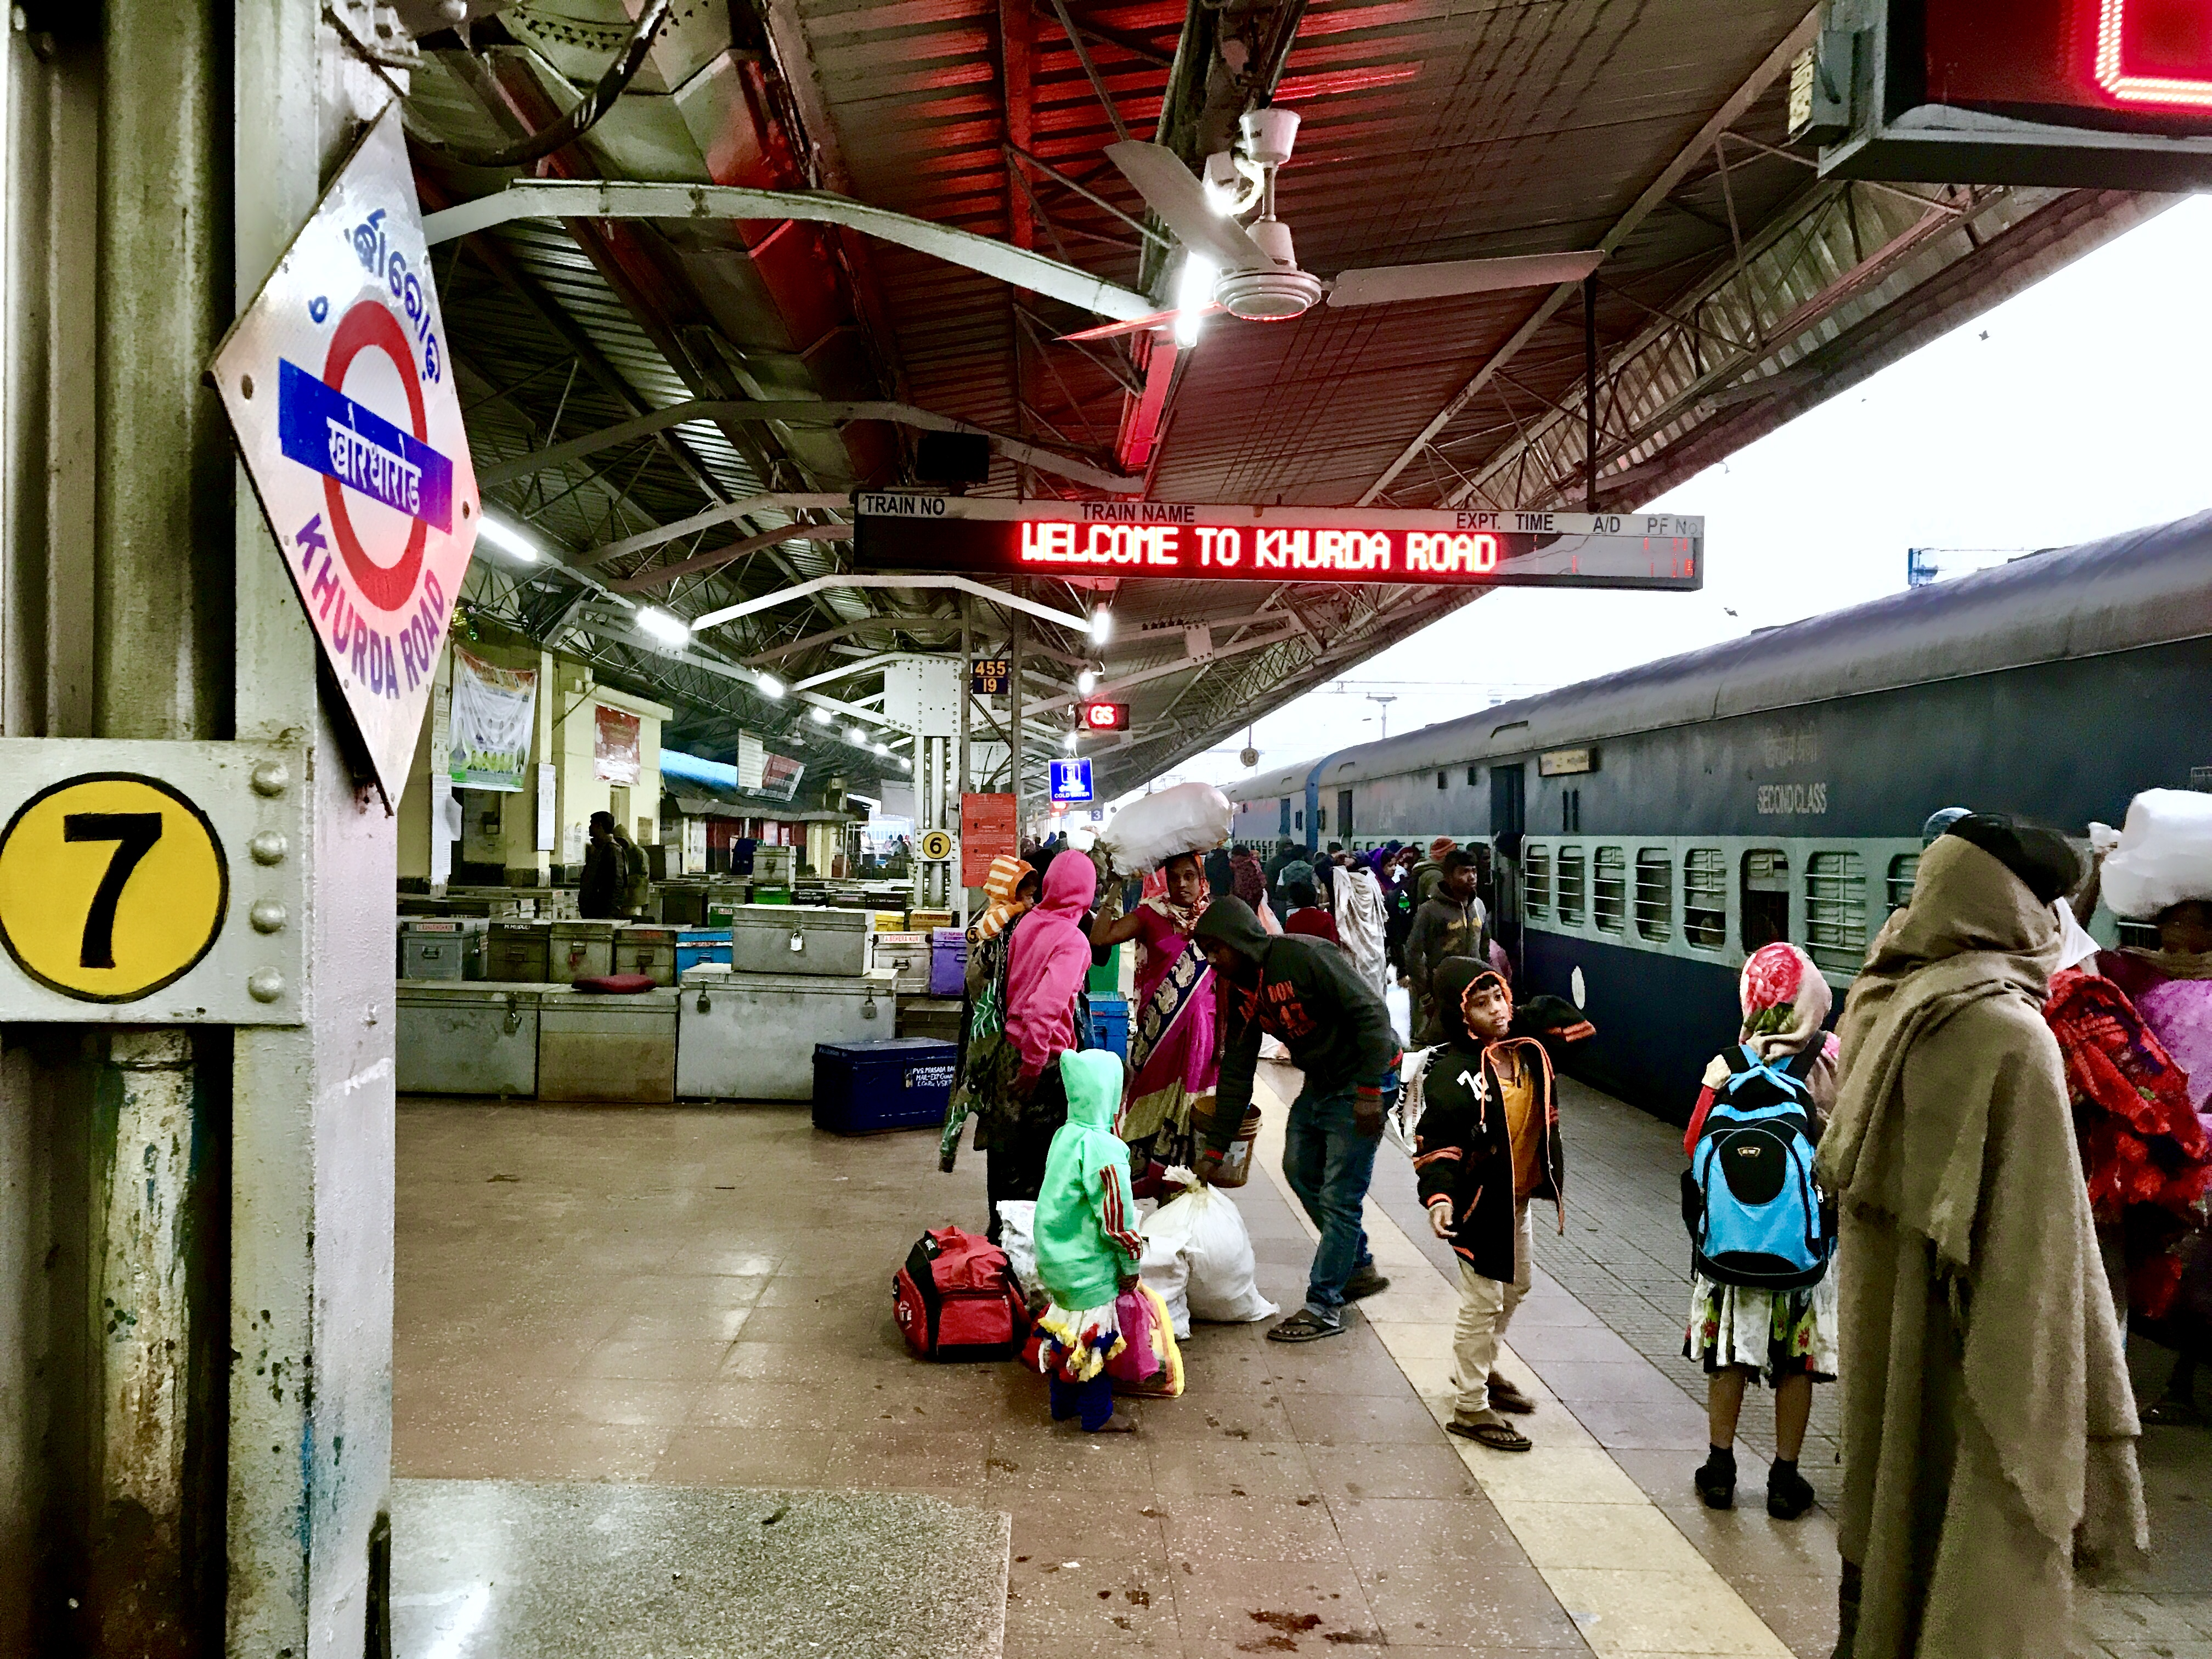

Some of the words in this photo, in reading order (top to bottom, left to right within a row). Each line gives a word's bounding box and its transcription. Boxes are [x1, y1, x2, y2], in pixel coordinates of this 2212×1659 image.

[322, 393, 427, 517] खोरधारोड
[862, 488, 922, 517] TRAIN
[912, 495, 949, 523] NO
[1013, 520, 1181, 569] WELCOME
[1077, 501, 1138, 525] TRAIN
[1137, 501, 1198, 528] NAME
[1186, 521, 1249, 573] TO
[1248, 520, 1395, 579] KHURDA
[1399, 528, 1500, 577] ROAD
[1447, 506, 1502, 535] EXPT.
[1510, 510, 1556, 537] TIME
[1589, 513, 1625, 536] A/D
[1639, 512, 1669, 539] PF
[1672, 517, 1701, 539] No
[289, 511, 403, 701] KHURDA
[396, 564, 449, 694] ROAD
[1750, 720, 1801, 771] द्वितीय
[1783, 719, 1822, 766] श्रेणी
[1750, 778, 1796, 817] SECOND
[1790, 777, 1831, 819] CLASS